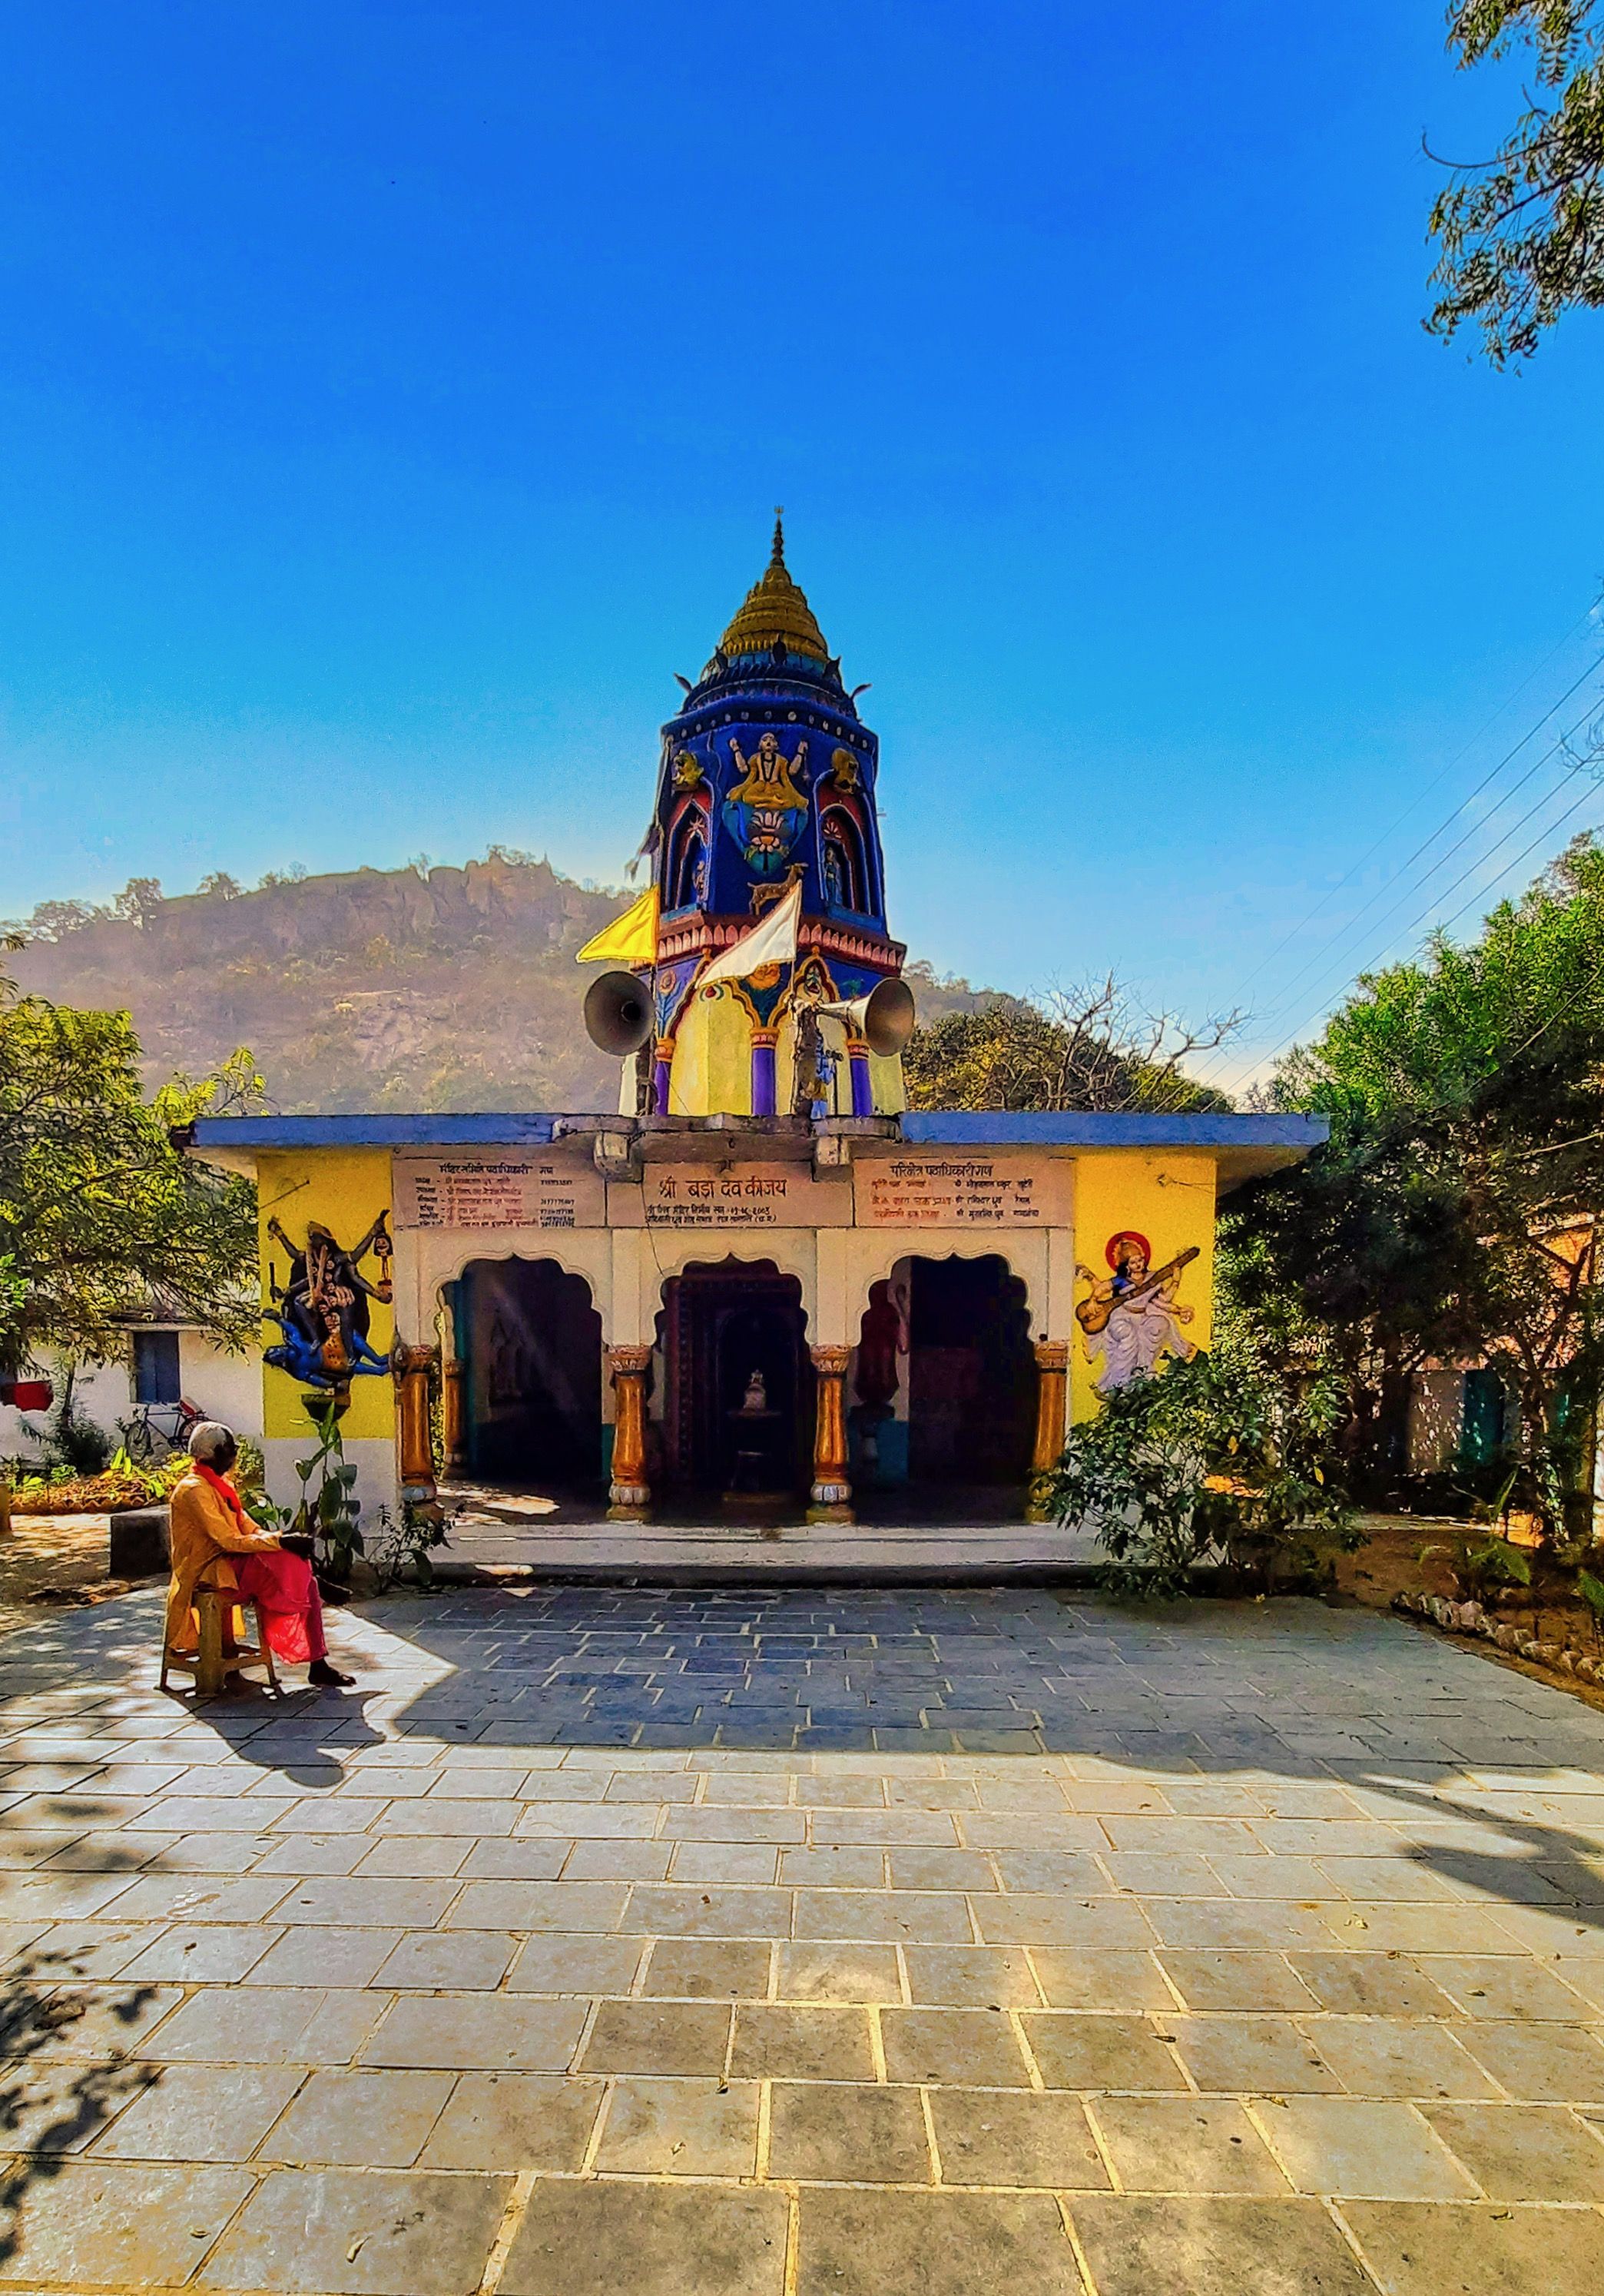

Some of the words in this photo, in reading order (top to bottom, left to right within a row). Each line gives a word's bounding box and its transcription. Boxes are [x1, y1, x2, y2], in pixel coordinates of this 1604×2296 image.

[889, 1158, 924, 1180] परिभेत्र
[923, 1159, 999, 1178] पठाधिकारीगण
[650, 1170, 679, 1202] श्री
[682, 1176, 717, 1203] बड़ा
[717, 1176, 744, 1201] दव
[744, 1170, 764, 1201] की
[764, 1178, 794, 1200] जय